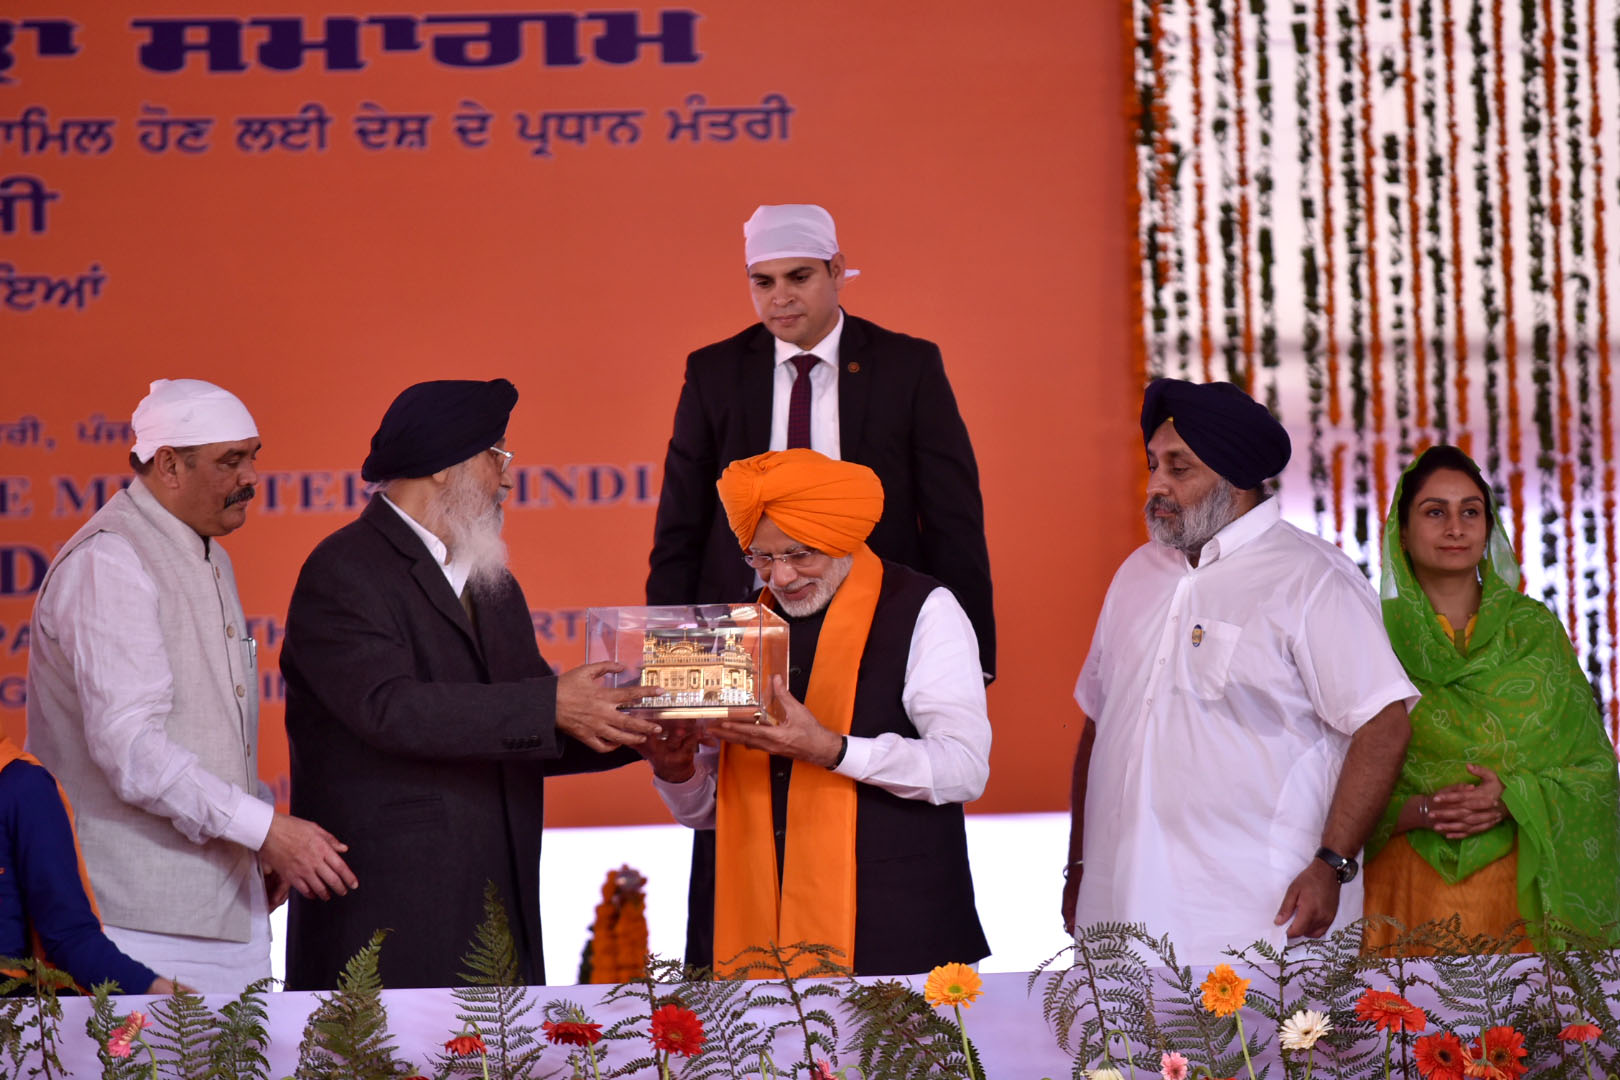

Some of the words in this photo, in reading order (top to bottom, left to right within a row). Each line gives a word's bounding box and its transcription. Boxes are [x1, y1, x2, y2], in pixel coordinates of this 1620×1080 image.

[121, 1, 728, 85] ਸਮਾਗਮ
[15, 99, 122, 167] ਮਿਲ
[127, 96, 222, 166] ਹੋਣ
[223, 92, 341, 162] ਲਈ
[342, 91, 440, 162] ਦੇਸ਼
[446, 98, 495, 157] ਦੇ
[505, 97, 657, 170] ਪ੍ਰਧਾਨ
[658, 87, 798, 151] ਮੰਤਰੀ
[0, 252, 122, 330] ਇਆਂ
[509, 456, 658, 519] INDI